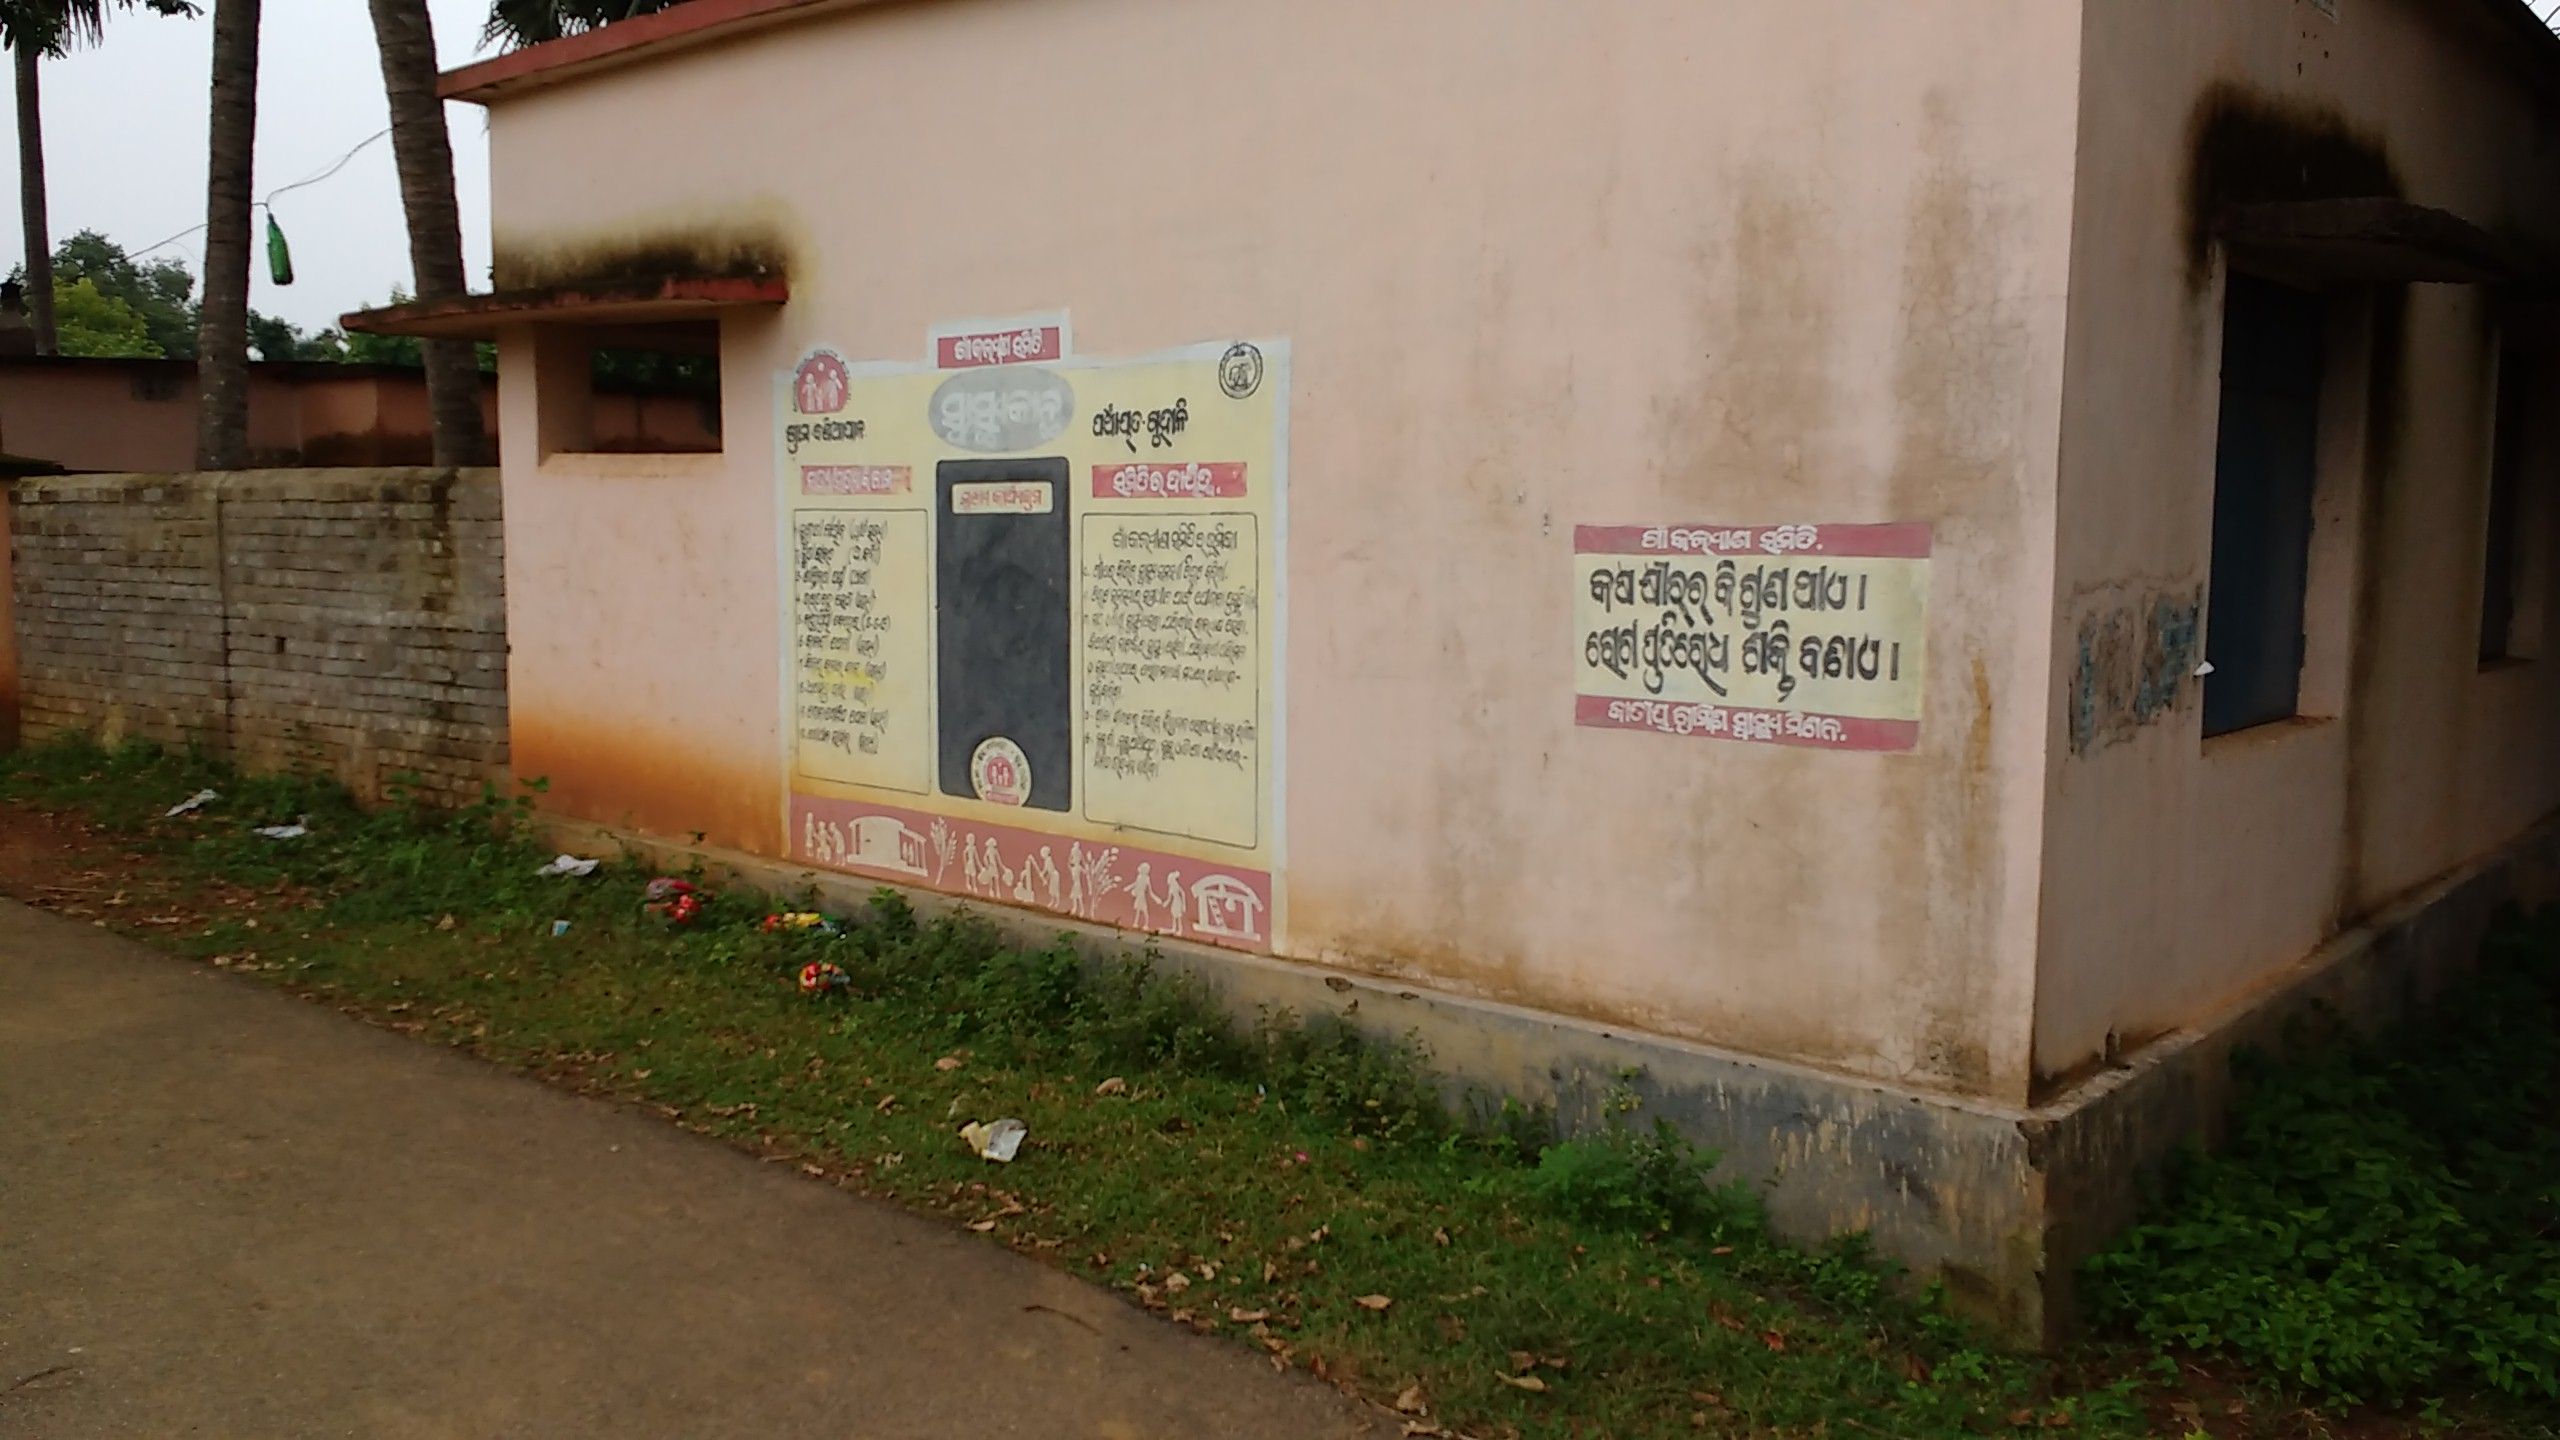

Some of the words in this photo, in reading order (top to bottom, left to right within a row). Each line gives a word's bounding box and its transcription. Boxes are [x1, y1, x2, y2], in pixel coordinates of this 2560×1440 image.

[1752, 519, 1827, 559] ସମିତି.
[1585, 551, 1718, 631] କଷ ଷୀରର
[1576, 604, 1735, 702] ଶ୍ରେଷ୍ଠ ପ୍ରତିଗେ୍ଧ
[1734, 607, 1903, 707] ଶକ୍ତି ଜଣାଏ ।
[1723, 706, 1851, 750] ସ୍ଵାସ୍ଥ୍ୟ ମିଣନ.